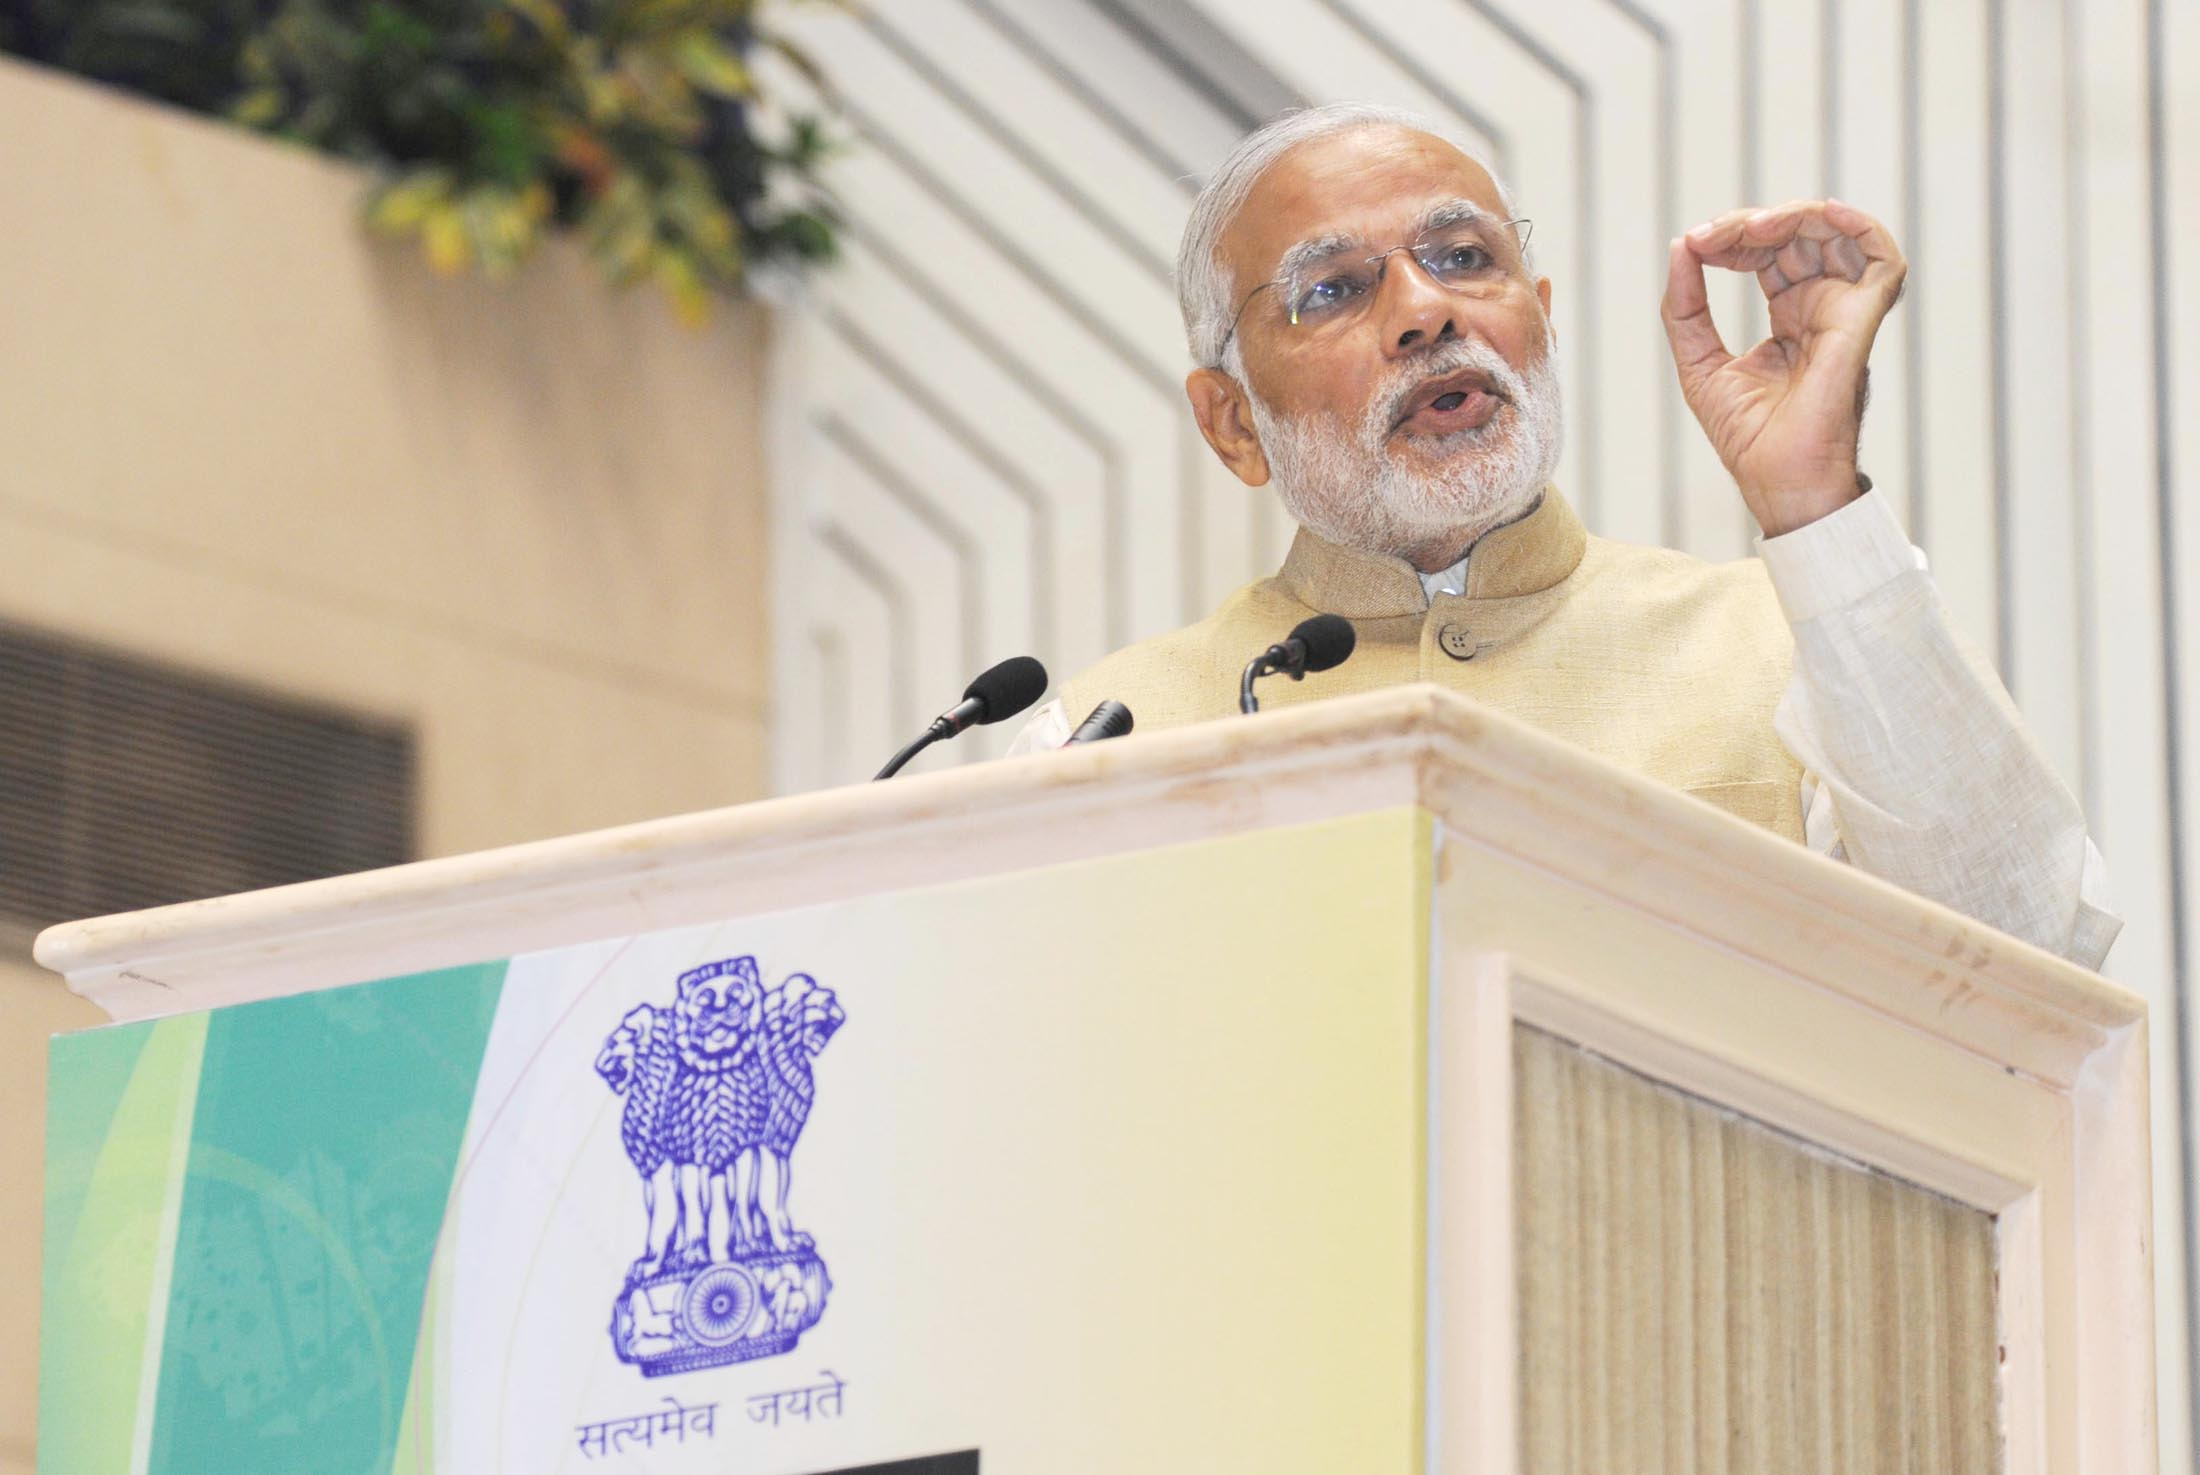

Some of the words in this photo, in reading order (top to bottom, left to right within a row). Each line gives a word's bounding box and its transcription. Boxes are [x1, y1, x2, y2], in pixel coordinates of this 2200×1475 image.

[573, 1392, 723, 1467] सत्यमेव
[745, 1366, 845, 1432] जयते